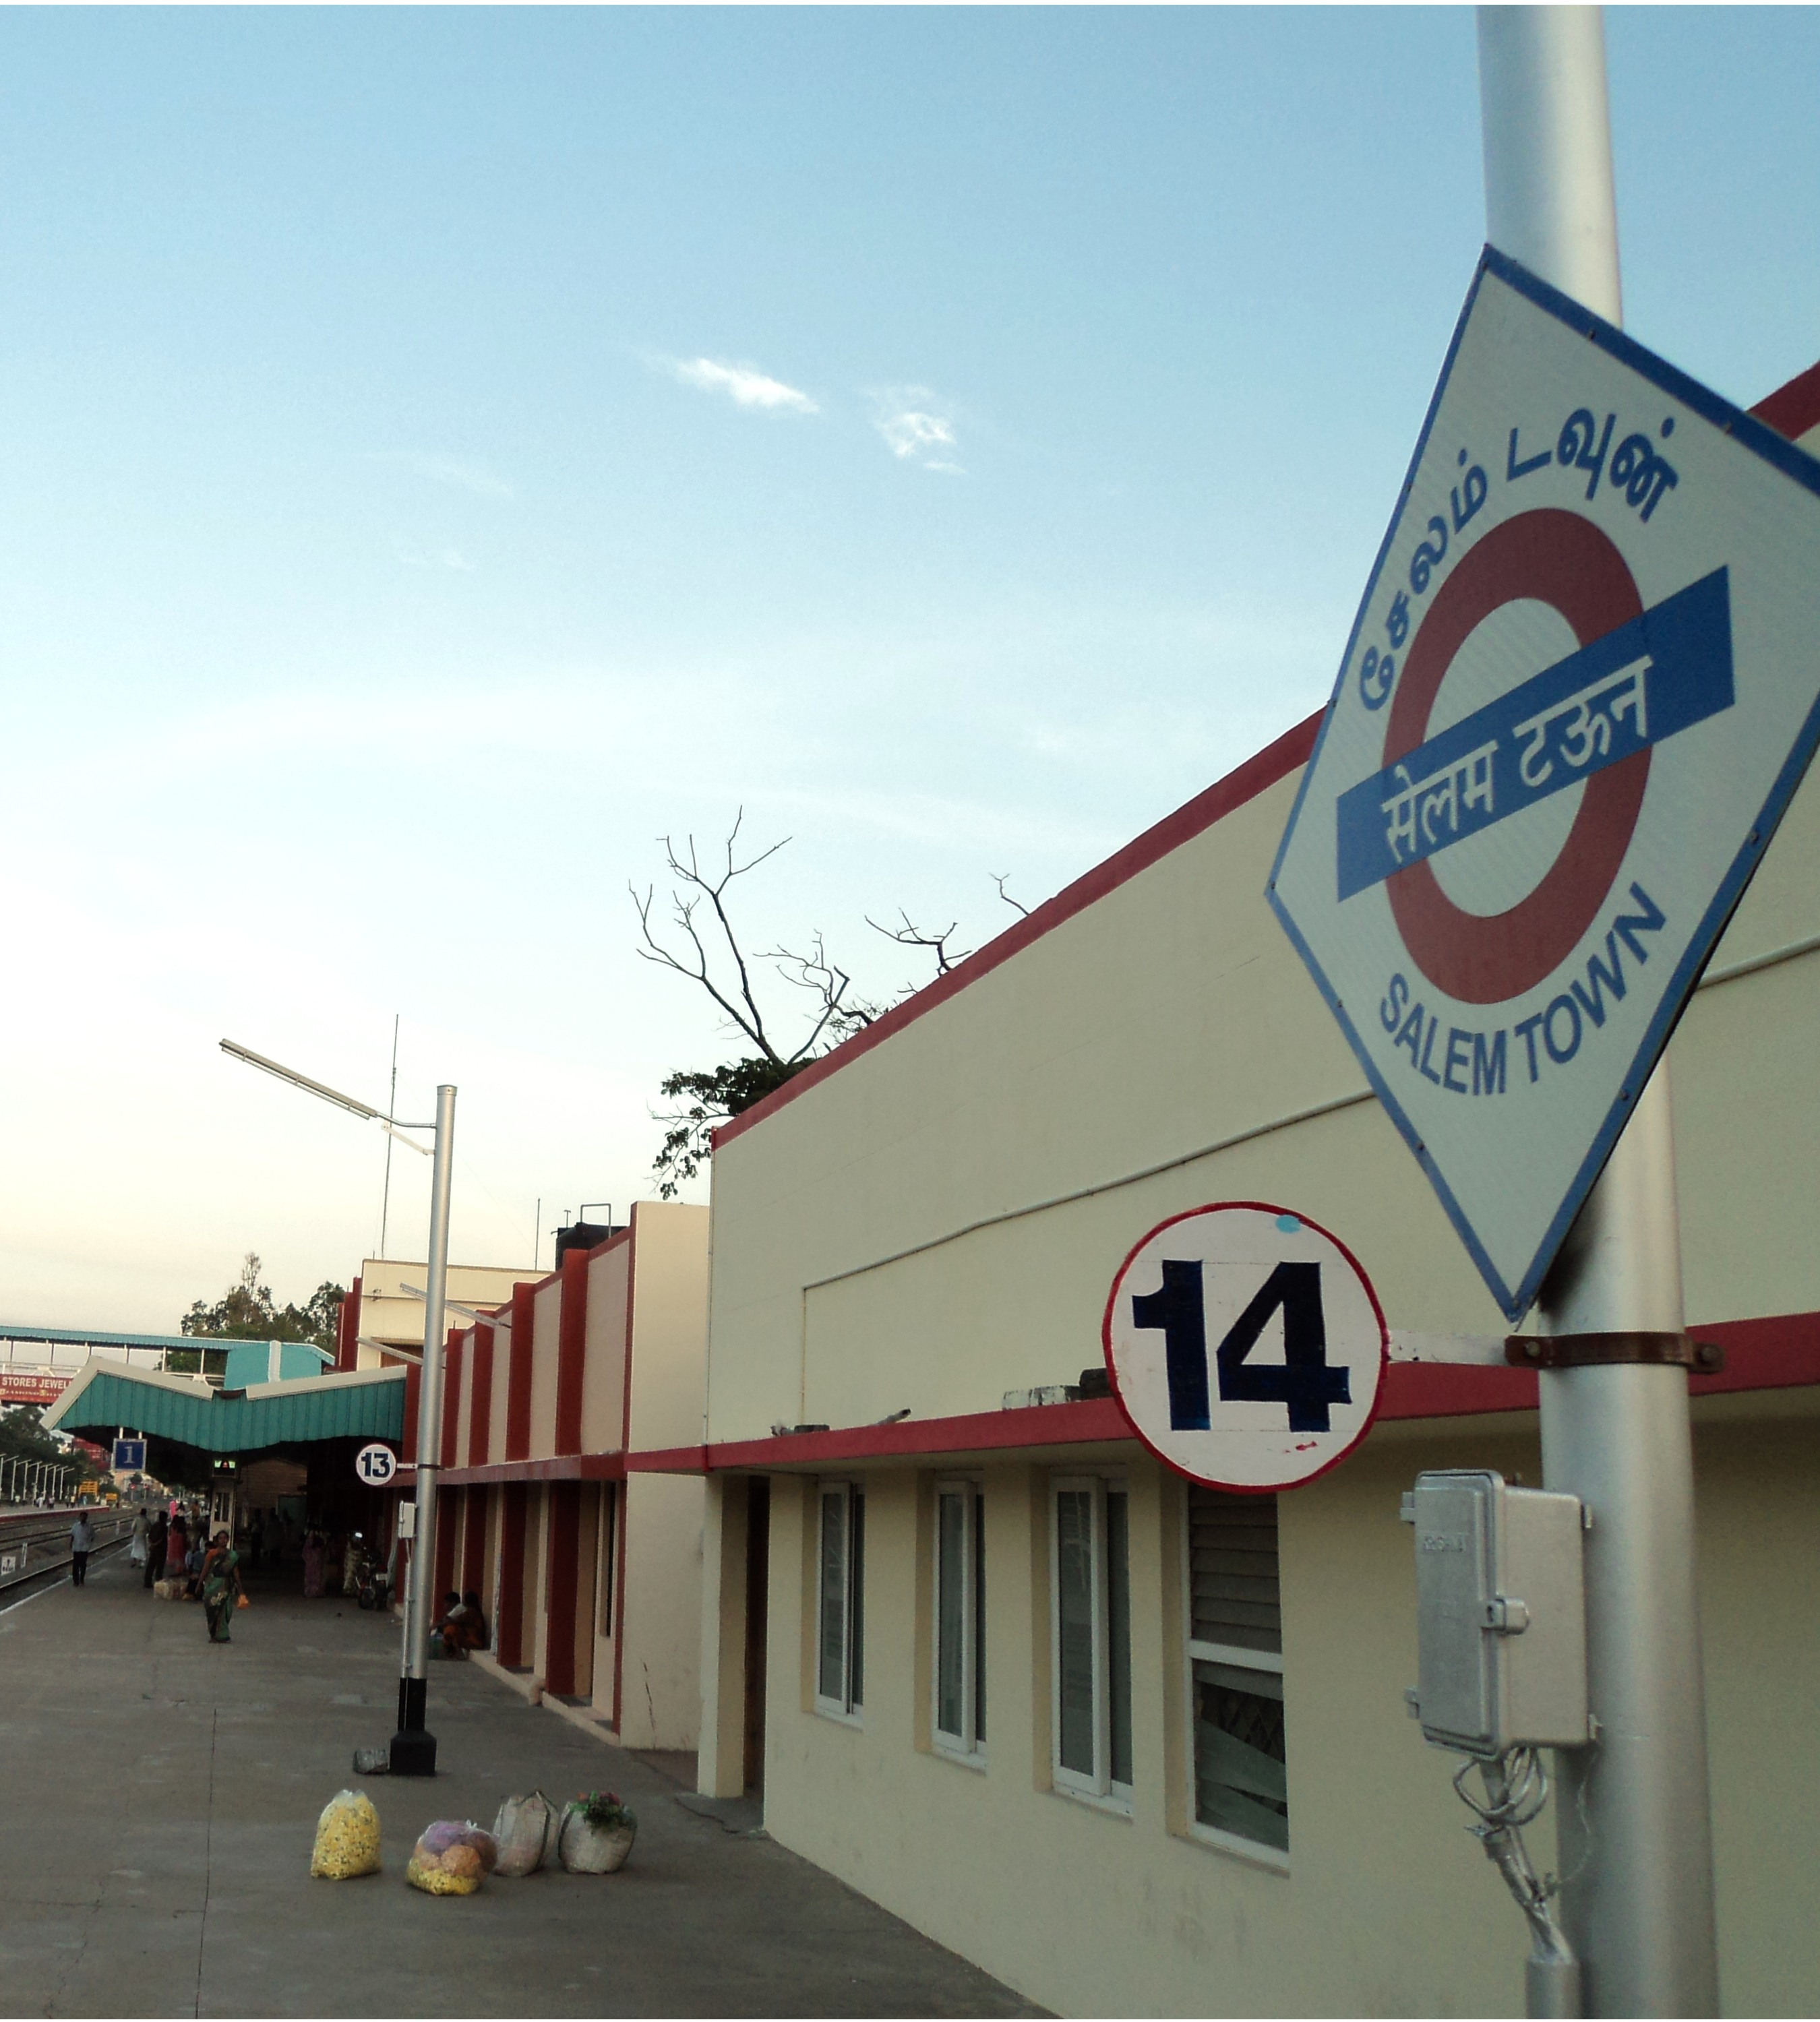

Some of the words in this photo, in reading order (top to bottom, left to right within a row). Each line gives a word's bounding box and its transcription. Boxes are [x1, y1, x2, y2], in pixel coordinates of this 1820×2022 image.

[1502, 402, 1682, 530] டவுன்
[1348, 437, 1491, 718] சேலம்
[1506, 648, 1658, 799] टऊन
[1371, 733, 1500, 867] सेलम
[1376, 965, 1510, 1099] SALEM
[1509, 872, 1672, 1091] TOWN
[1124, 1256, 1358, 1440] 14